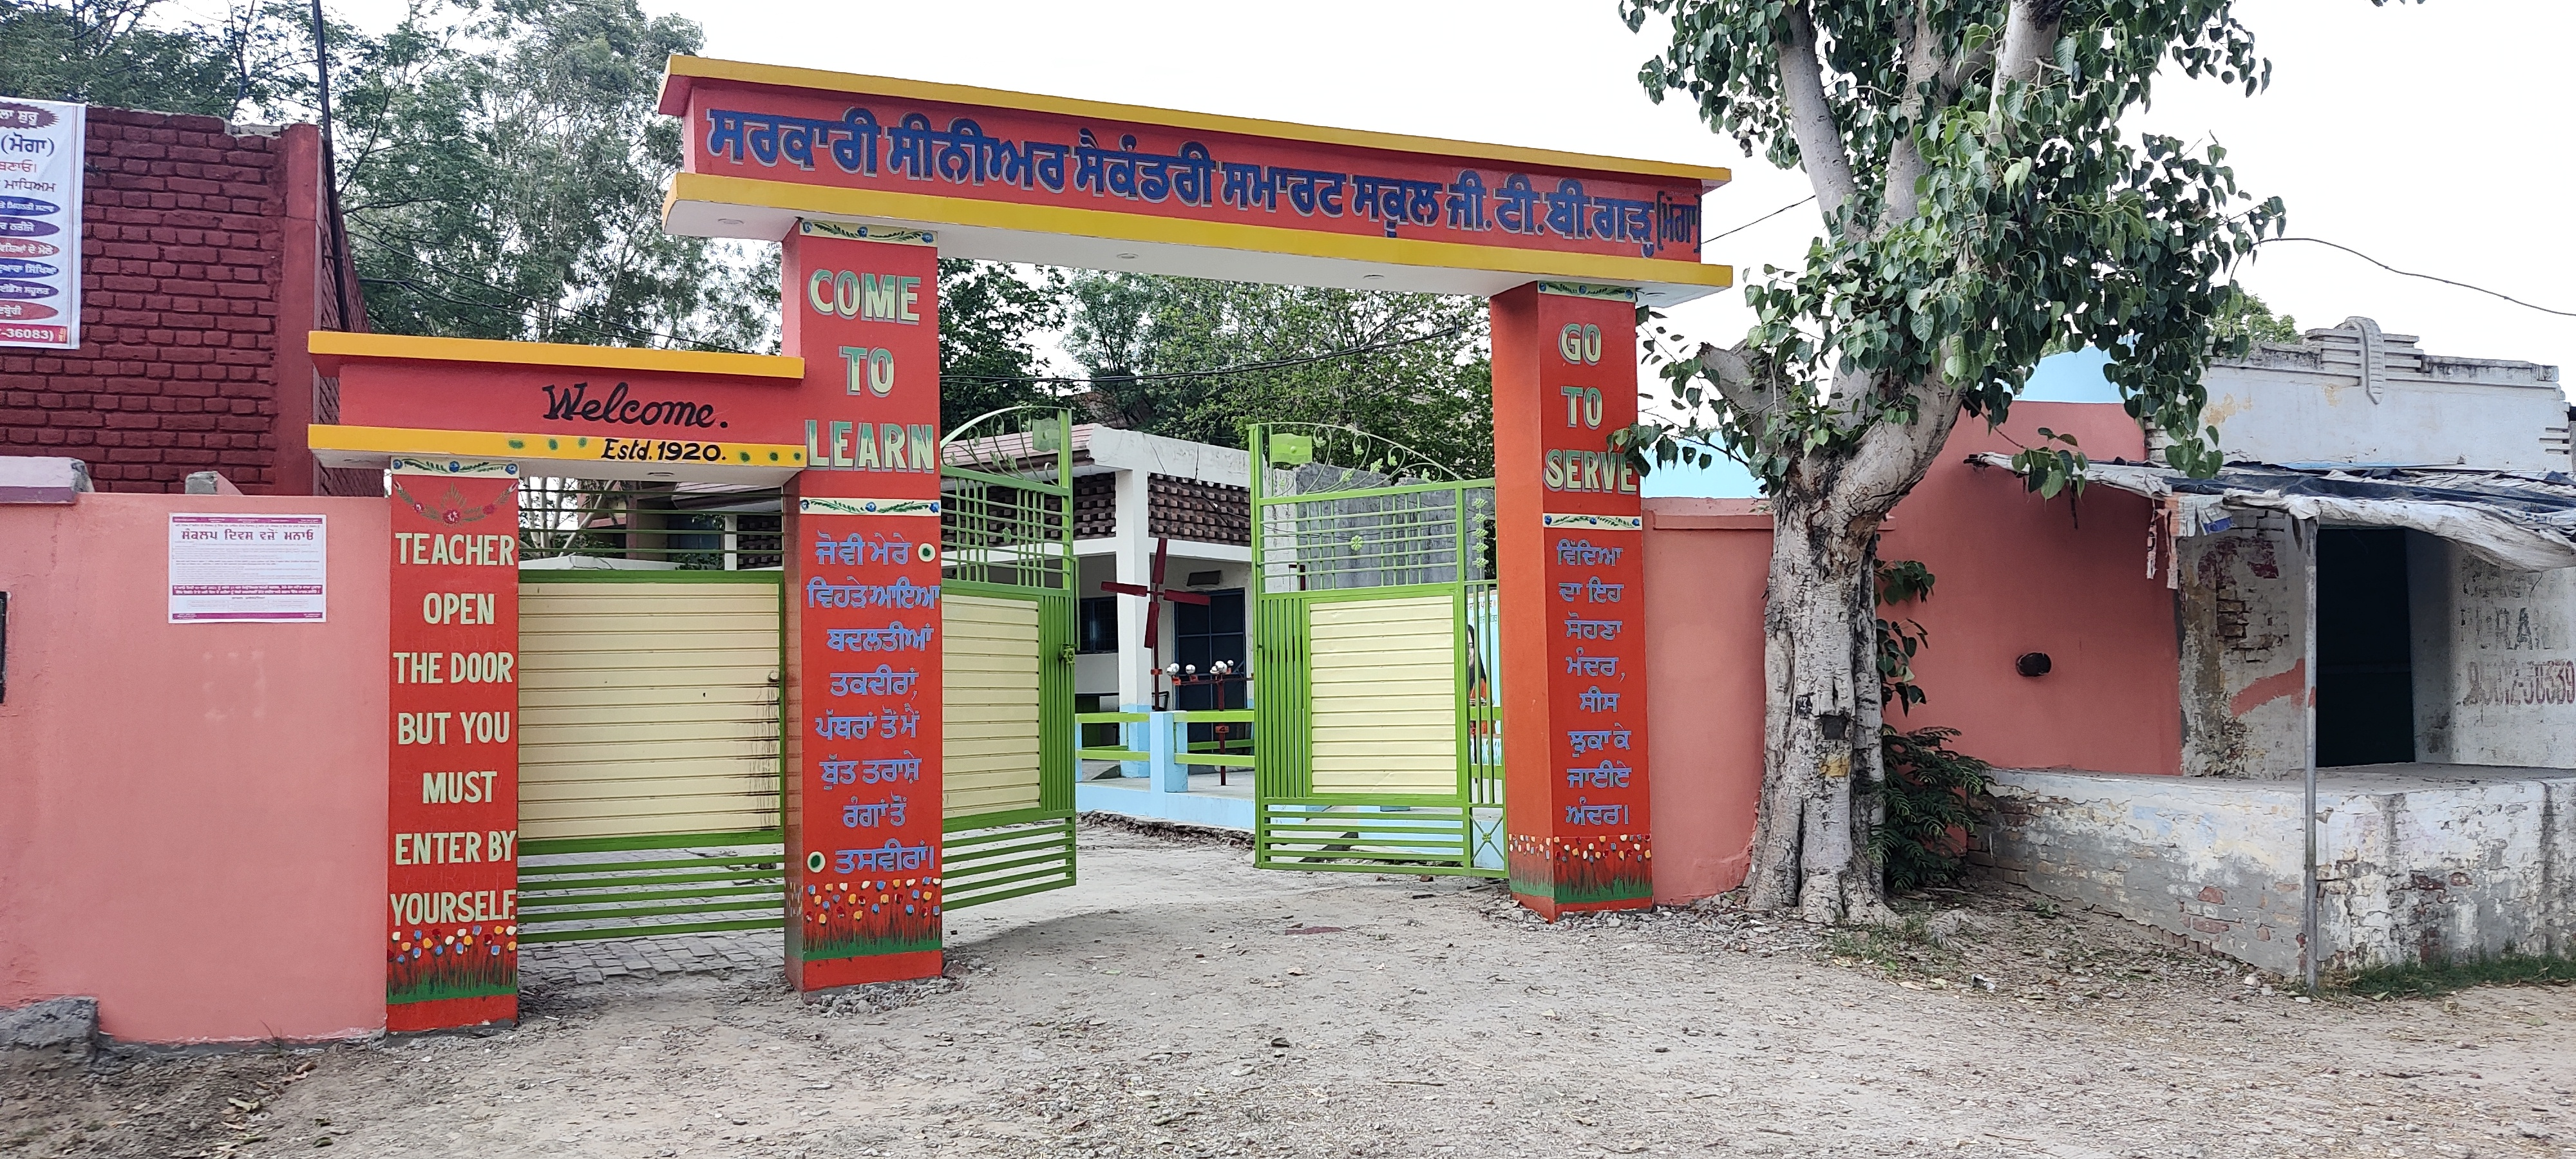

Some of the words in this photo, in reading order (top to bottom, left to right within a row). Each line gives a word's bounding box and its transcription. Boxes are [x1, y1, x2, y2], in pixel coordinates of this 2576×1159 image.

[14, 106, 44, 128] ਸ਼ੁਰੂ
[0, 155, 37, 174] ਬਣਾਓ
[5, 128, 52, 157] ਮੋਗਾ
[1, 173, 62, 198] ਮਾਧਿਅਮ
[699, 100, 884, 182] ਸਰਕਾਰੀ
[883, 108, 1071, 202] ਸੀਨੀਅਰ
[1066, 120, 1219, 216] ਸੈਕੰਡਰੀ
[1217, 151, 1349, 227] ਸਮਾਰਟ
[1348, 169, 1444, 240] ਸਕੂਲ
[1443, 161, 1497, 236] ਜੀ.
[1488, 165, 1553, 238] टी॰
[1539, 173, 1599, 246] ਬੀ.
[1589, 183, 1659, 263] ਗੜ੍ਹ
[1657, 189, 1702, 250] ਮਗਾ
[803, 267, 931, 334] COME
[4, 325, 48, 342] 36083
[1549, 317, 1604, 371] GO
[829, 342, 900, 406] TO
[531, 376, 723, 438] Welcome
[1556, 381, 1607, 433] TO
[593, 434, 656, 464] Estd.
[654, 440, 726, 468] 1920
[799, 415, 939, 482] LEARN
[1542, 446, 1642, 501] SERVE
[179, 527, 220, 541] ਸੰਕਲਪ
[221, 527, 256, 542] ਦਿਵਸ
[258, 527, 280, 540] ਵਜੋ
[280, 528, 316, 542] ਮਨਾਓ
[390, 527, 518, 570] TEACHER
[806, 524, 867, 569] ਜੇਵੀ
[866, 526, 918, 569] ਮੇਰੇ
[1546, 534, 1629, 570] ਵਿੱਦਿਆ
[415, 585, 502, 634] OPEN
[800, 569, 869, 615] ਵਿਹੜੇ
[821, 616, 938, 657] ਬਦਲਤੀਆਂ
[867, 572, 945, 617] ਆਇਆ
[1553, 576, 1585, 607] ਦਾ
[1561, 605, 1631, 645] ਸੋਹਣਾ
[1584, 571, 1630, 608] ਇਹ
[388, 644, 448, 690] THE
[390, 706, 455, 753] BUT
[445, 643, 519, 688] DOOR
[455, 702, 517, 748] YOU
[805, 705, 878, 743] ਪੱਥਰਾਂ
[820, 657, 924, 702] ਤਕਦੀਰਾਂ
[876, 696, 927, 742] ਤੋਂਮੈਂ
[1562, 726, 1613, 761] ਝੁਕਾ
[1559, 643, 1622, 679] ਮੰਦਰ
[1573, 682, 1624, 717] ਸੀਸ
[1610, 717, 1637, 757] ਕੇ
[412, 764, 506, 814] MUST
[813, 750, 860, 795] ਬੁੱਤ
[836, 787, 916, 833] ਰੰਗਾਂਤੋਂ
[859, 745, 932, 789] ਤਰਾਸ਼ੇ
[1561, 793, 1627, 831] ਅੰਦਰ
[1560, 753, 1638, 792] ਜਾਈਏ
[390, 825, 486, 872] ENTER
[484, 822, 521, 871] BY
[830, 833, 931, 878] ਤਸਵੀਰਾਂ
[386, 886, 516, 930] YOURSELF.